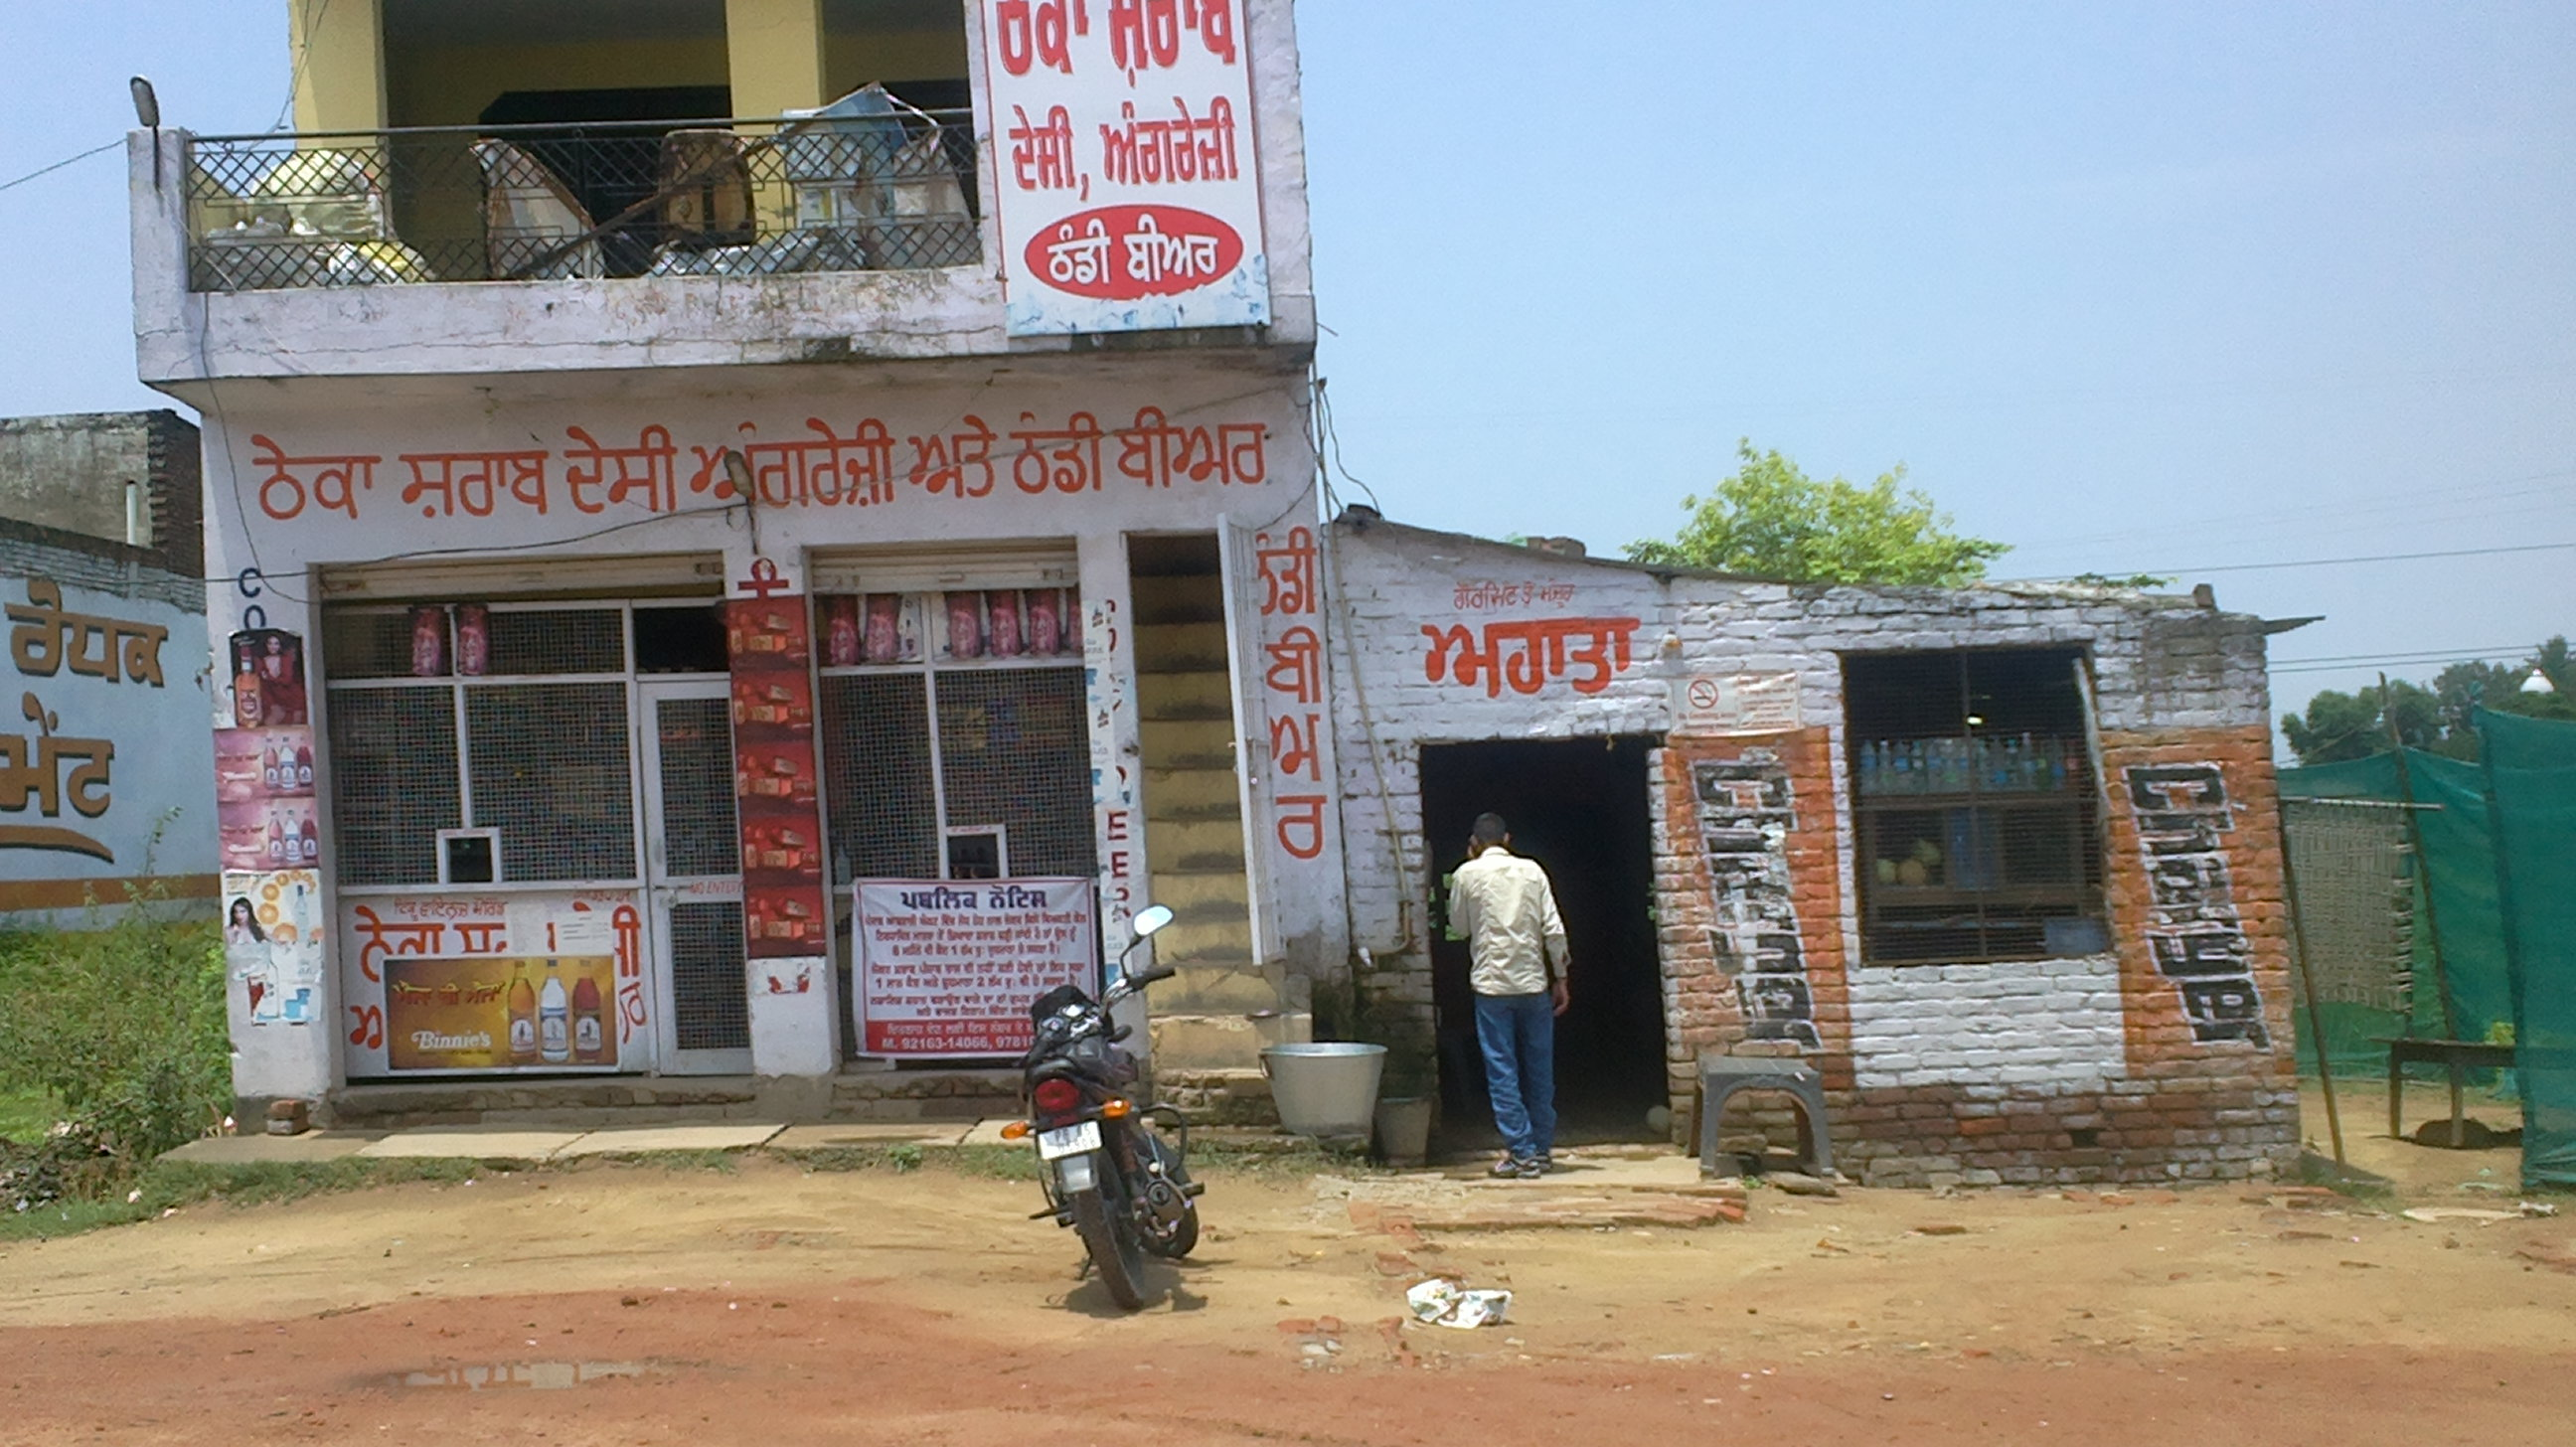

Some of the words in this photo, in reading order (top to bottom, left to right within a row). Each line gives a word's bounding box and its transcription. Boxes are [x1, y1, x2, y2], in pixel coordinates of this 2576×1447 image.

[987, 0, 1102, 90] ਕਾ
[1097, 0, 1248, 93] ਸ਼ਰਾਬ
[992, 102, 1082, 201] ਦੇਸੀ
[1089, 92, 1243, 193] ਅੰਗਰੇਜੀ
[1034, 212, 1119, 298] ਠੰਡੀ
[1115, 202, 1230, 297] ਬੀਅਰ
[234, 419, 390, 537] ਠੇਕਾ
[384, 429, 558, 541] ਸ਼ਰਾਬ
[550, 416, 685, 523] ਦੇਸੀ
[686, 405, 902, 525] ਅੰਗਰੇਜ਼ੀ
[893, 405, 1004, 505] ਅਤੇ
[1002, 403, 1109, 505] ਠੰਡੀ
[1115, 405, 1272, 496] ਬੀਅਰ
[1245, 515, 1324, 625] ਤੰਡੀ
[1, 565, 187, 699] ਰੋਧਕ
[1409, 611, 1657, 723] ਅਹਾਤਾ
[1, 686, 135, 827] ਮੇਂਟ
[1255, 618, 1346, 878] ਬੀਅਰ
[893, 880, 988, 911] ਪਬਲਿਕ
[980, 880, 1051, 909] ਨੋਦਿਸ
[2101, 743, 2284, 1071] Charger